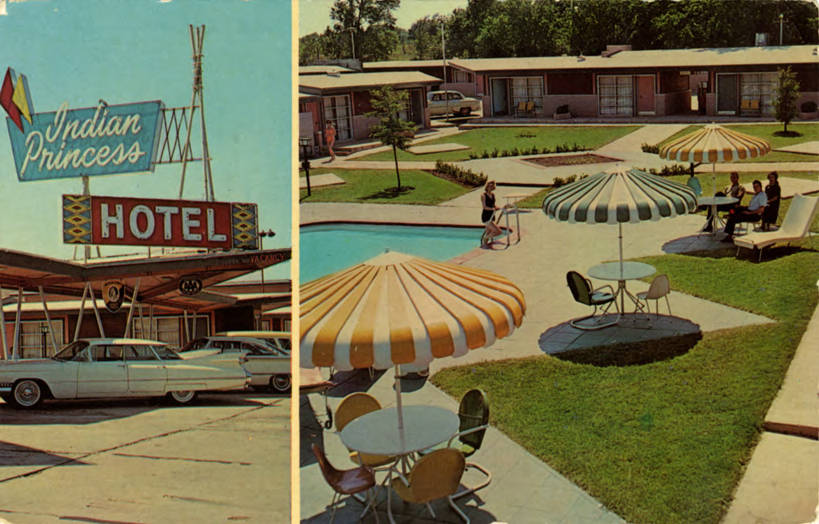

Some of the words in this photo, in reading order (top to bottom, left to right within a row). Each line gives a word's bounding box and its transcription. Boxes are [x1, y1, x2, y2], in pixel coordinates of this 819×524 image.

[43, 95, 149, 144] Indian
[15, 125, 153, 176] Princess
[97, 199, 233, 245] HOTEL